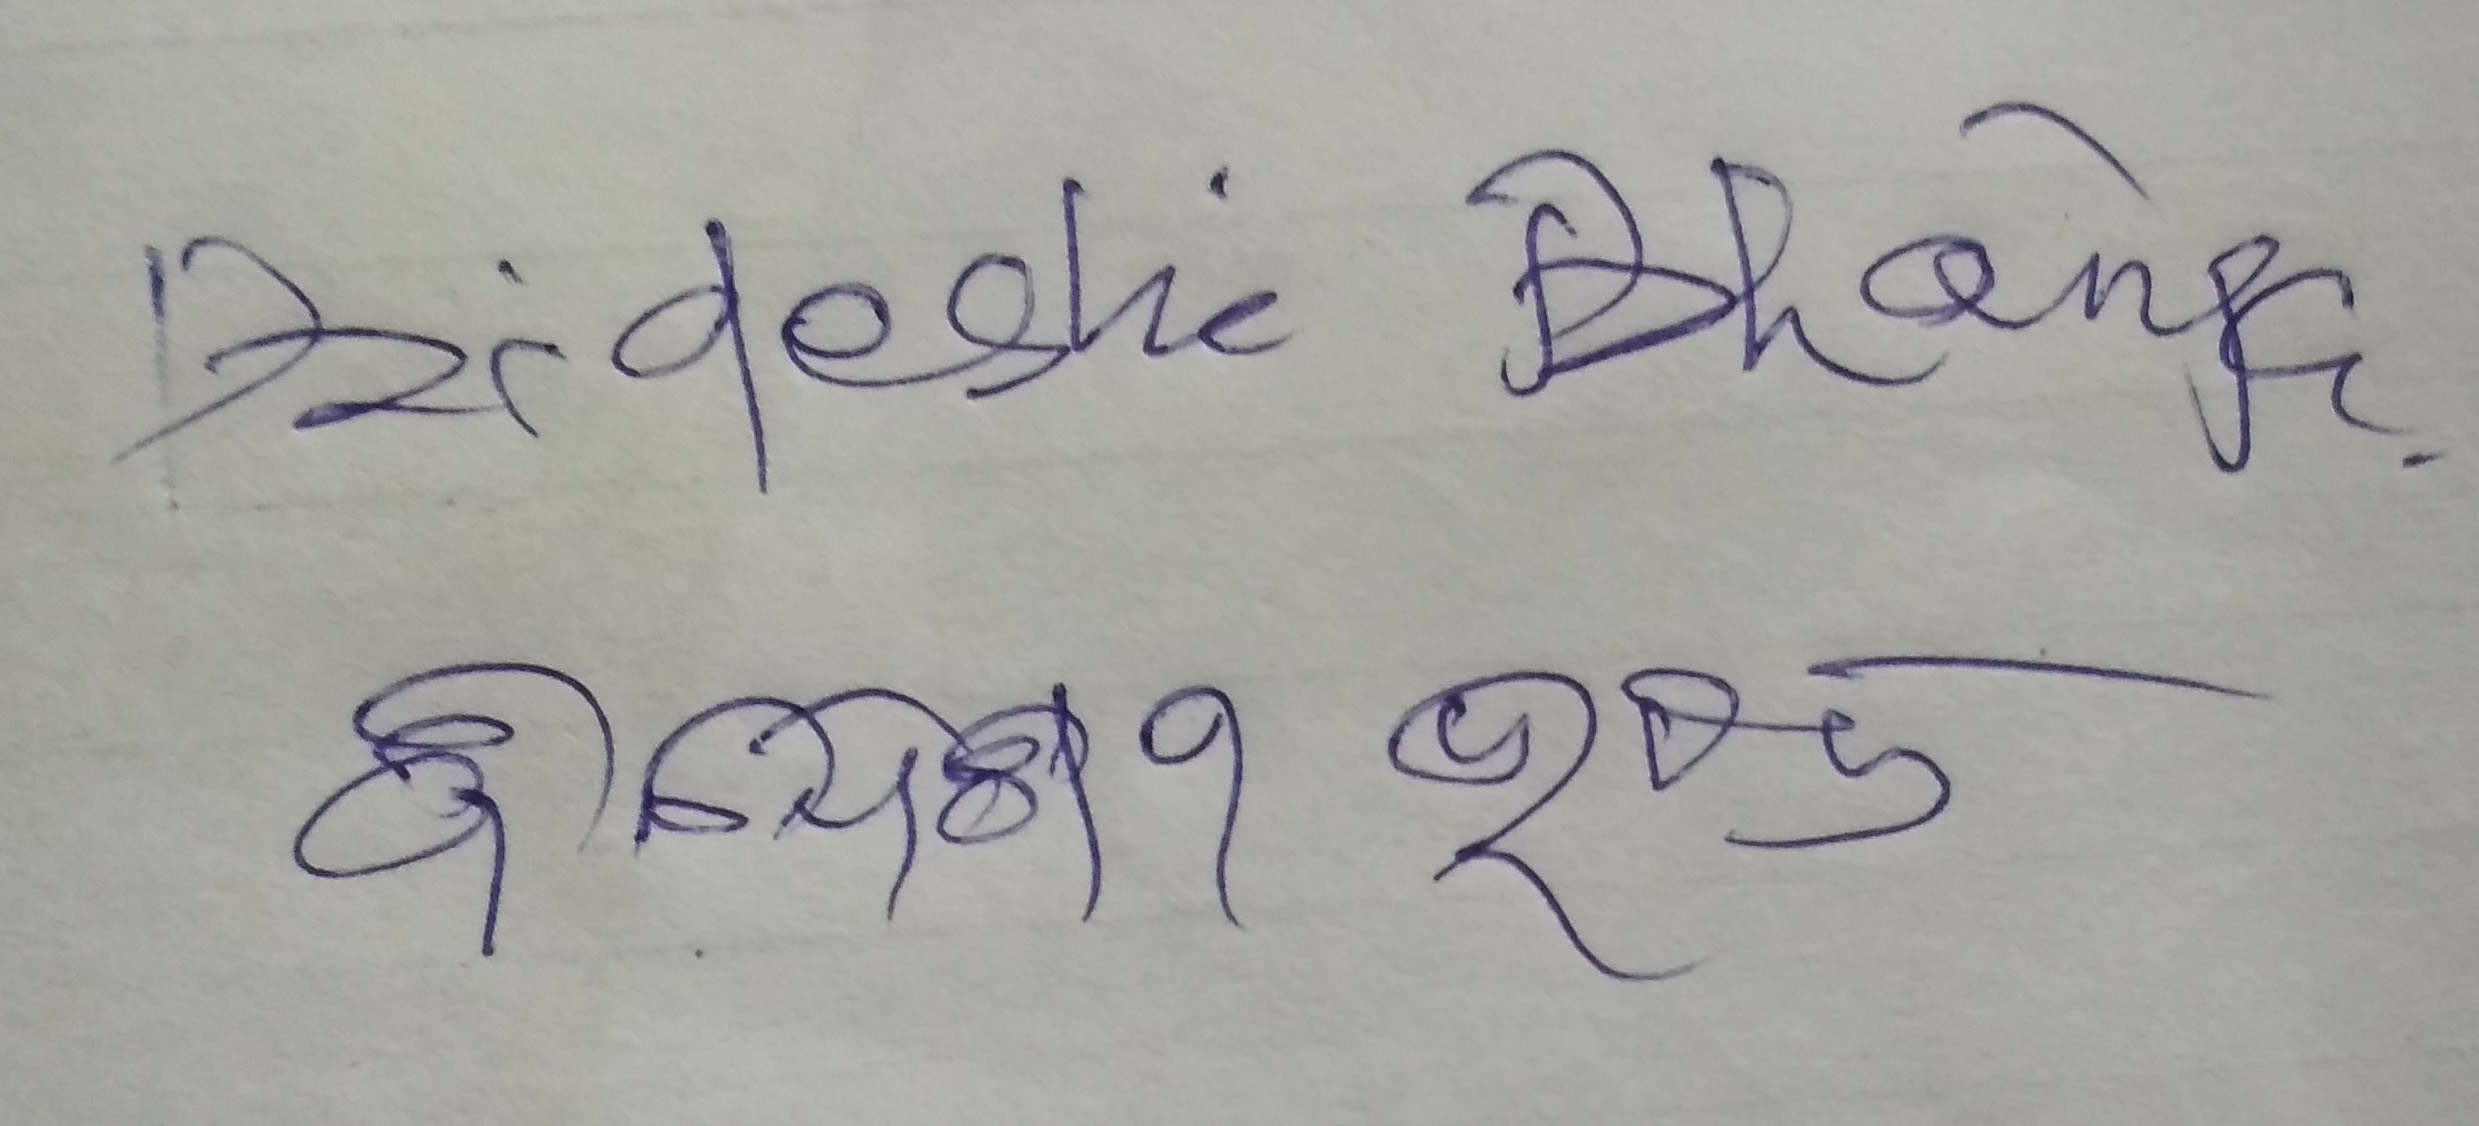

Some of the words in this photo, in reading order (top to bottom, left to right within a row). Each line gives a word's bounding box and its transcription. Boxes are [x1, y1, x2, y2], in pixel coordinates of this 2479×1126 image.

[119, 157, 1298, 535] Bideshi
[1454, 88, 2419, 499] Bhanja